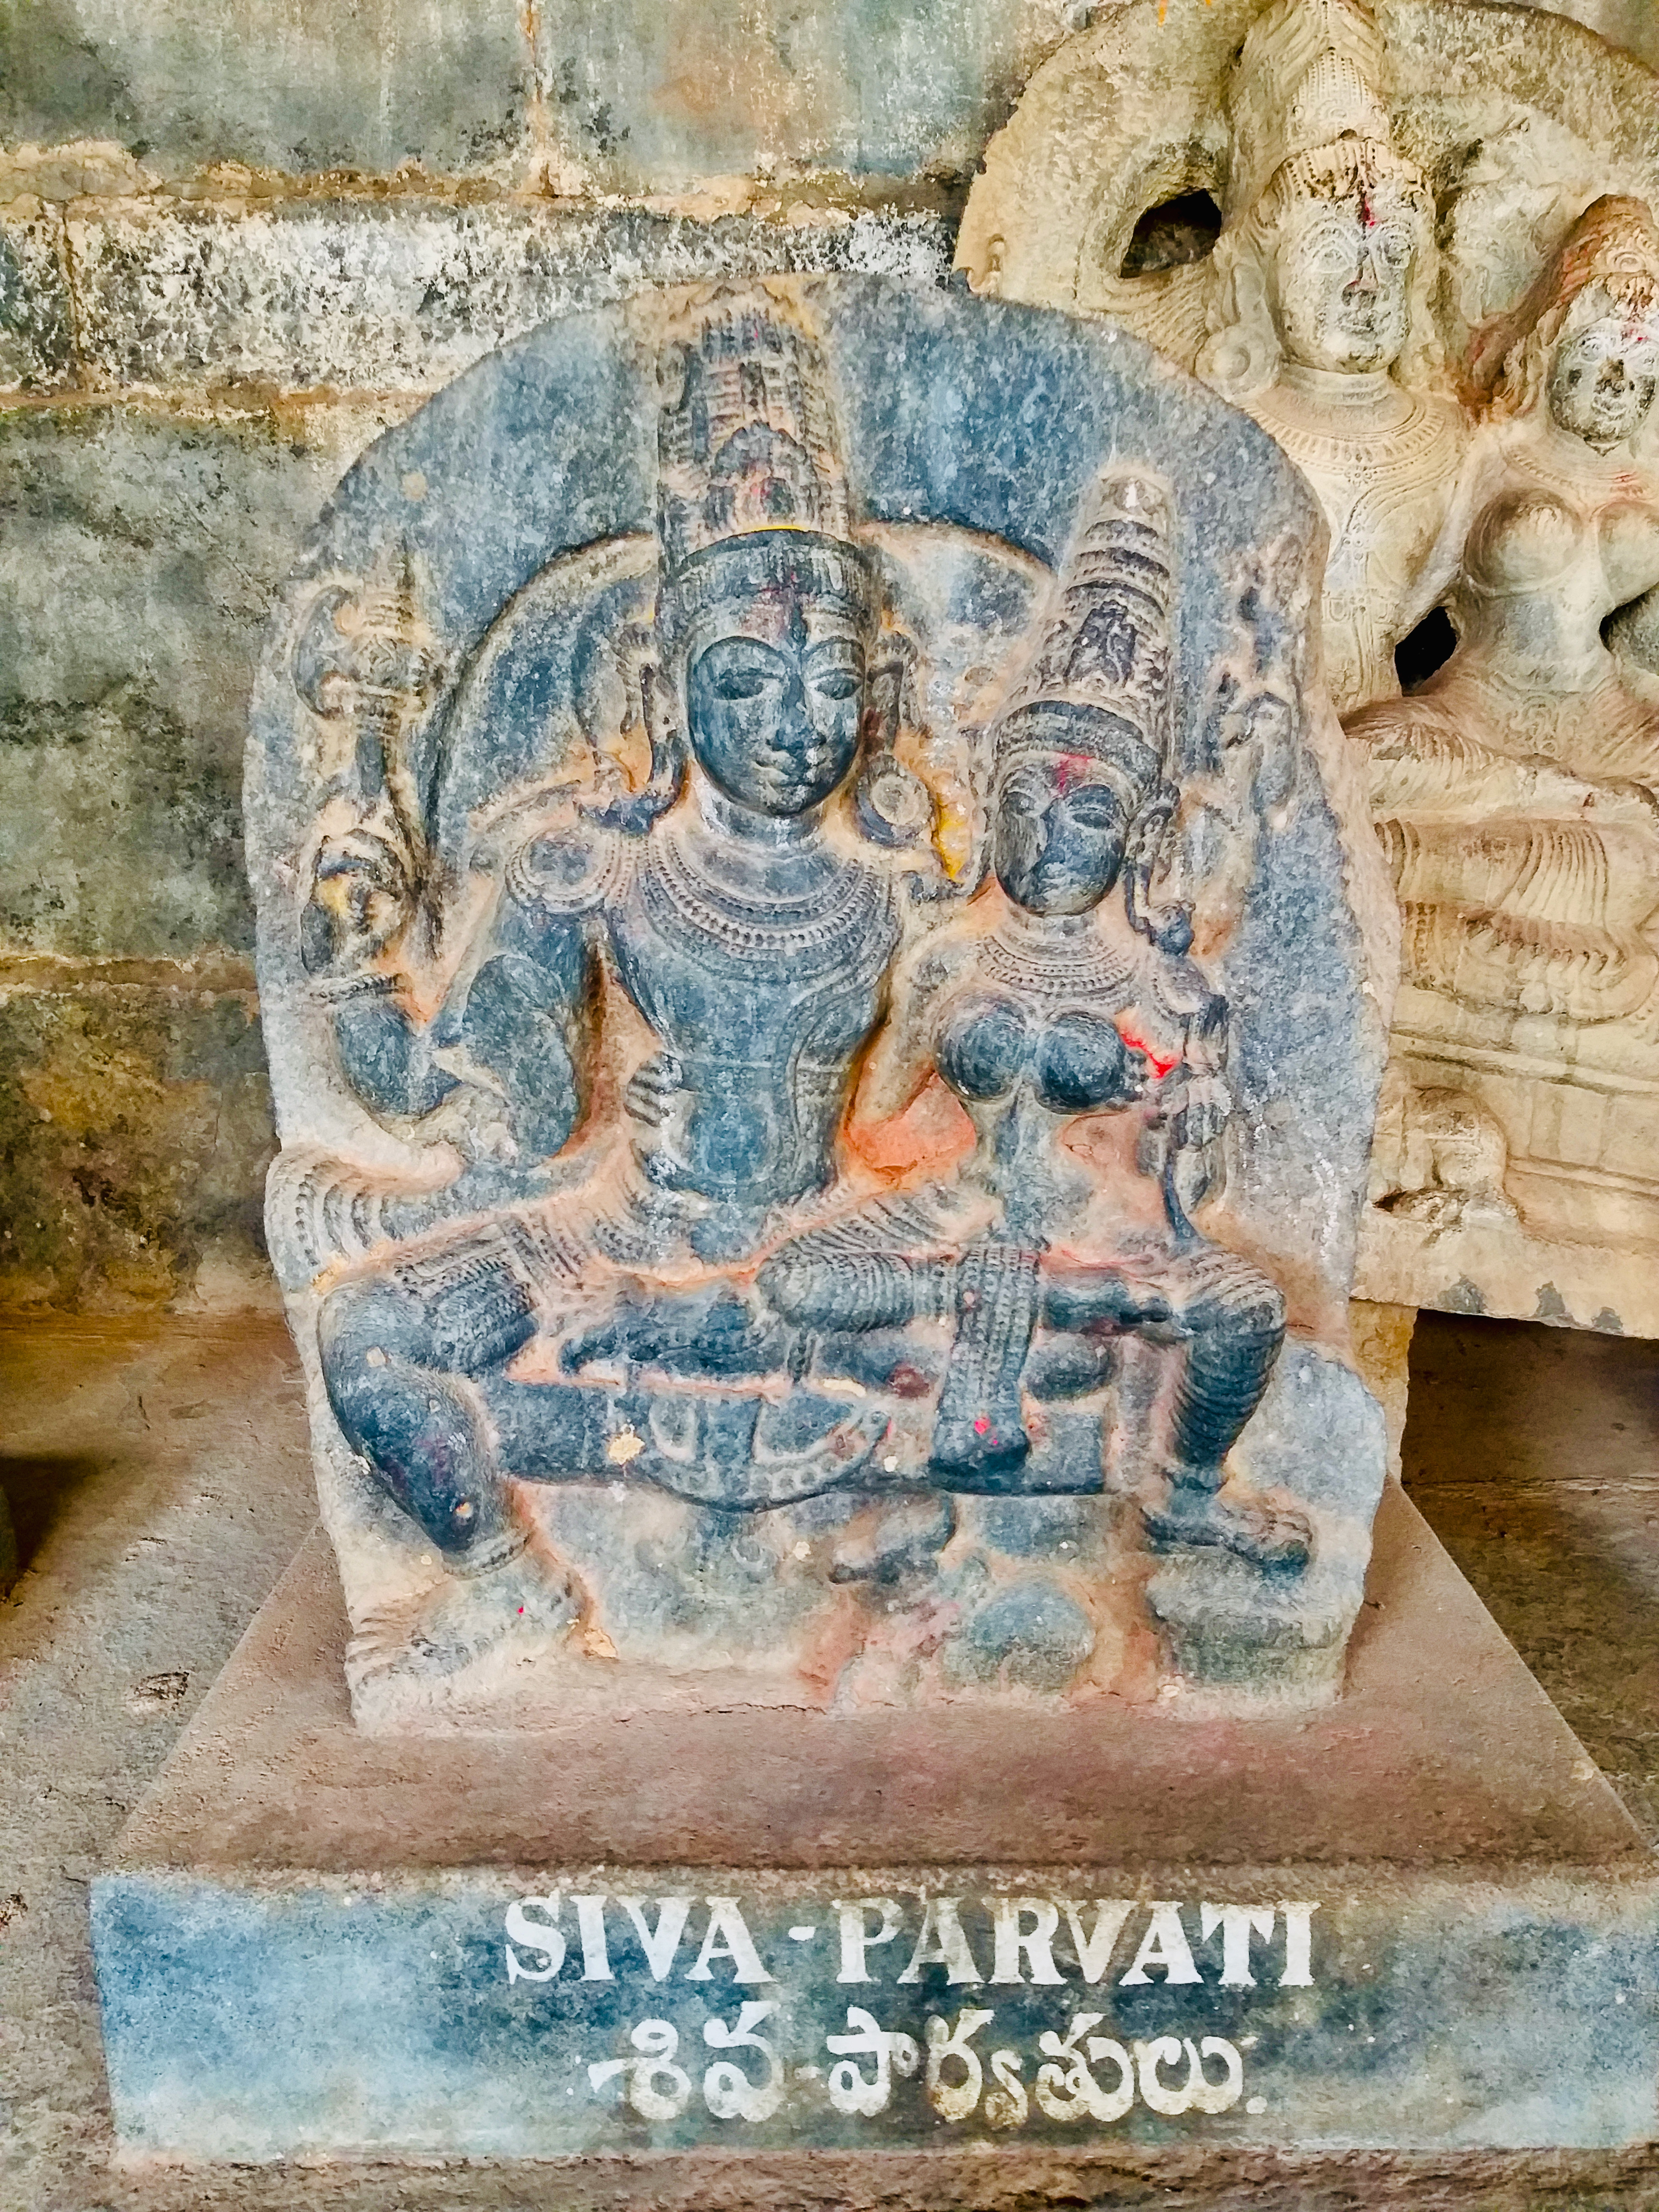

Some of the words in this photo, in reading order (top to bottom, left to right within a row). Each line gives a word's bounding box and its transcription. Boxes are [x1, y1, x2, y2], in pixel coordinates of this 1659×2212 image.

[500, 1884, 780, 1988] SIVA
[826, 1892, 1325, 1991] PARVATI
[578, 1999, 791, 2127] శివ
[820, 1997, 1250, 2137] పార్వతులు